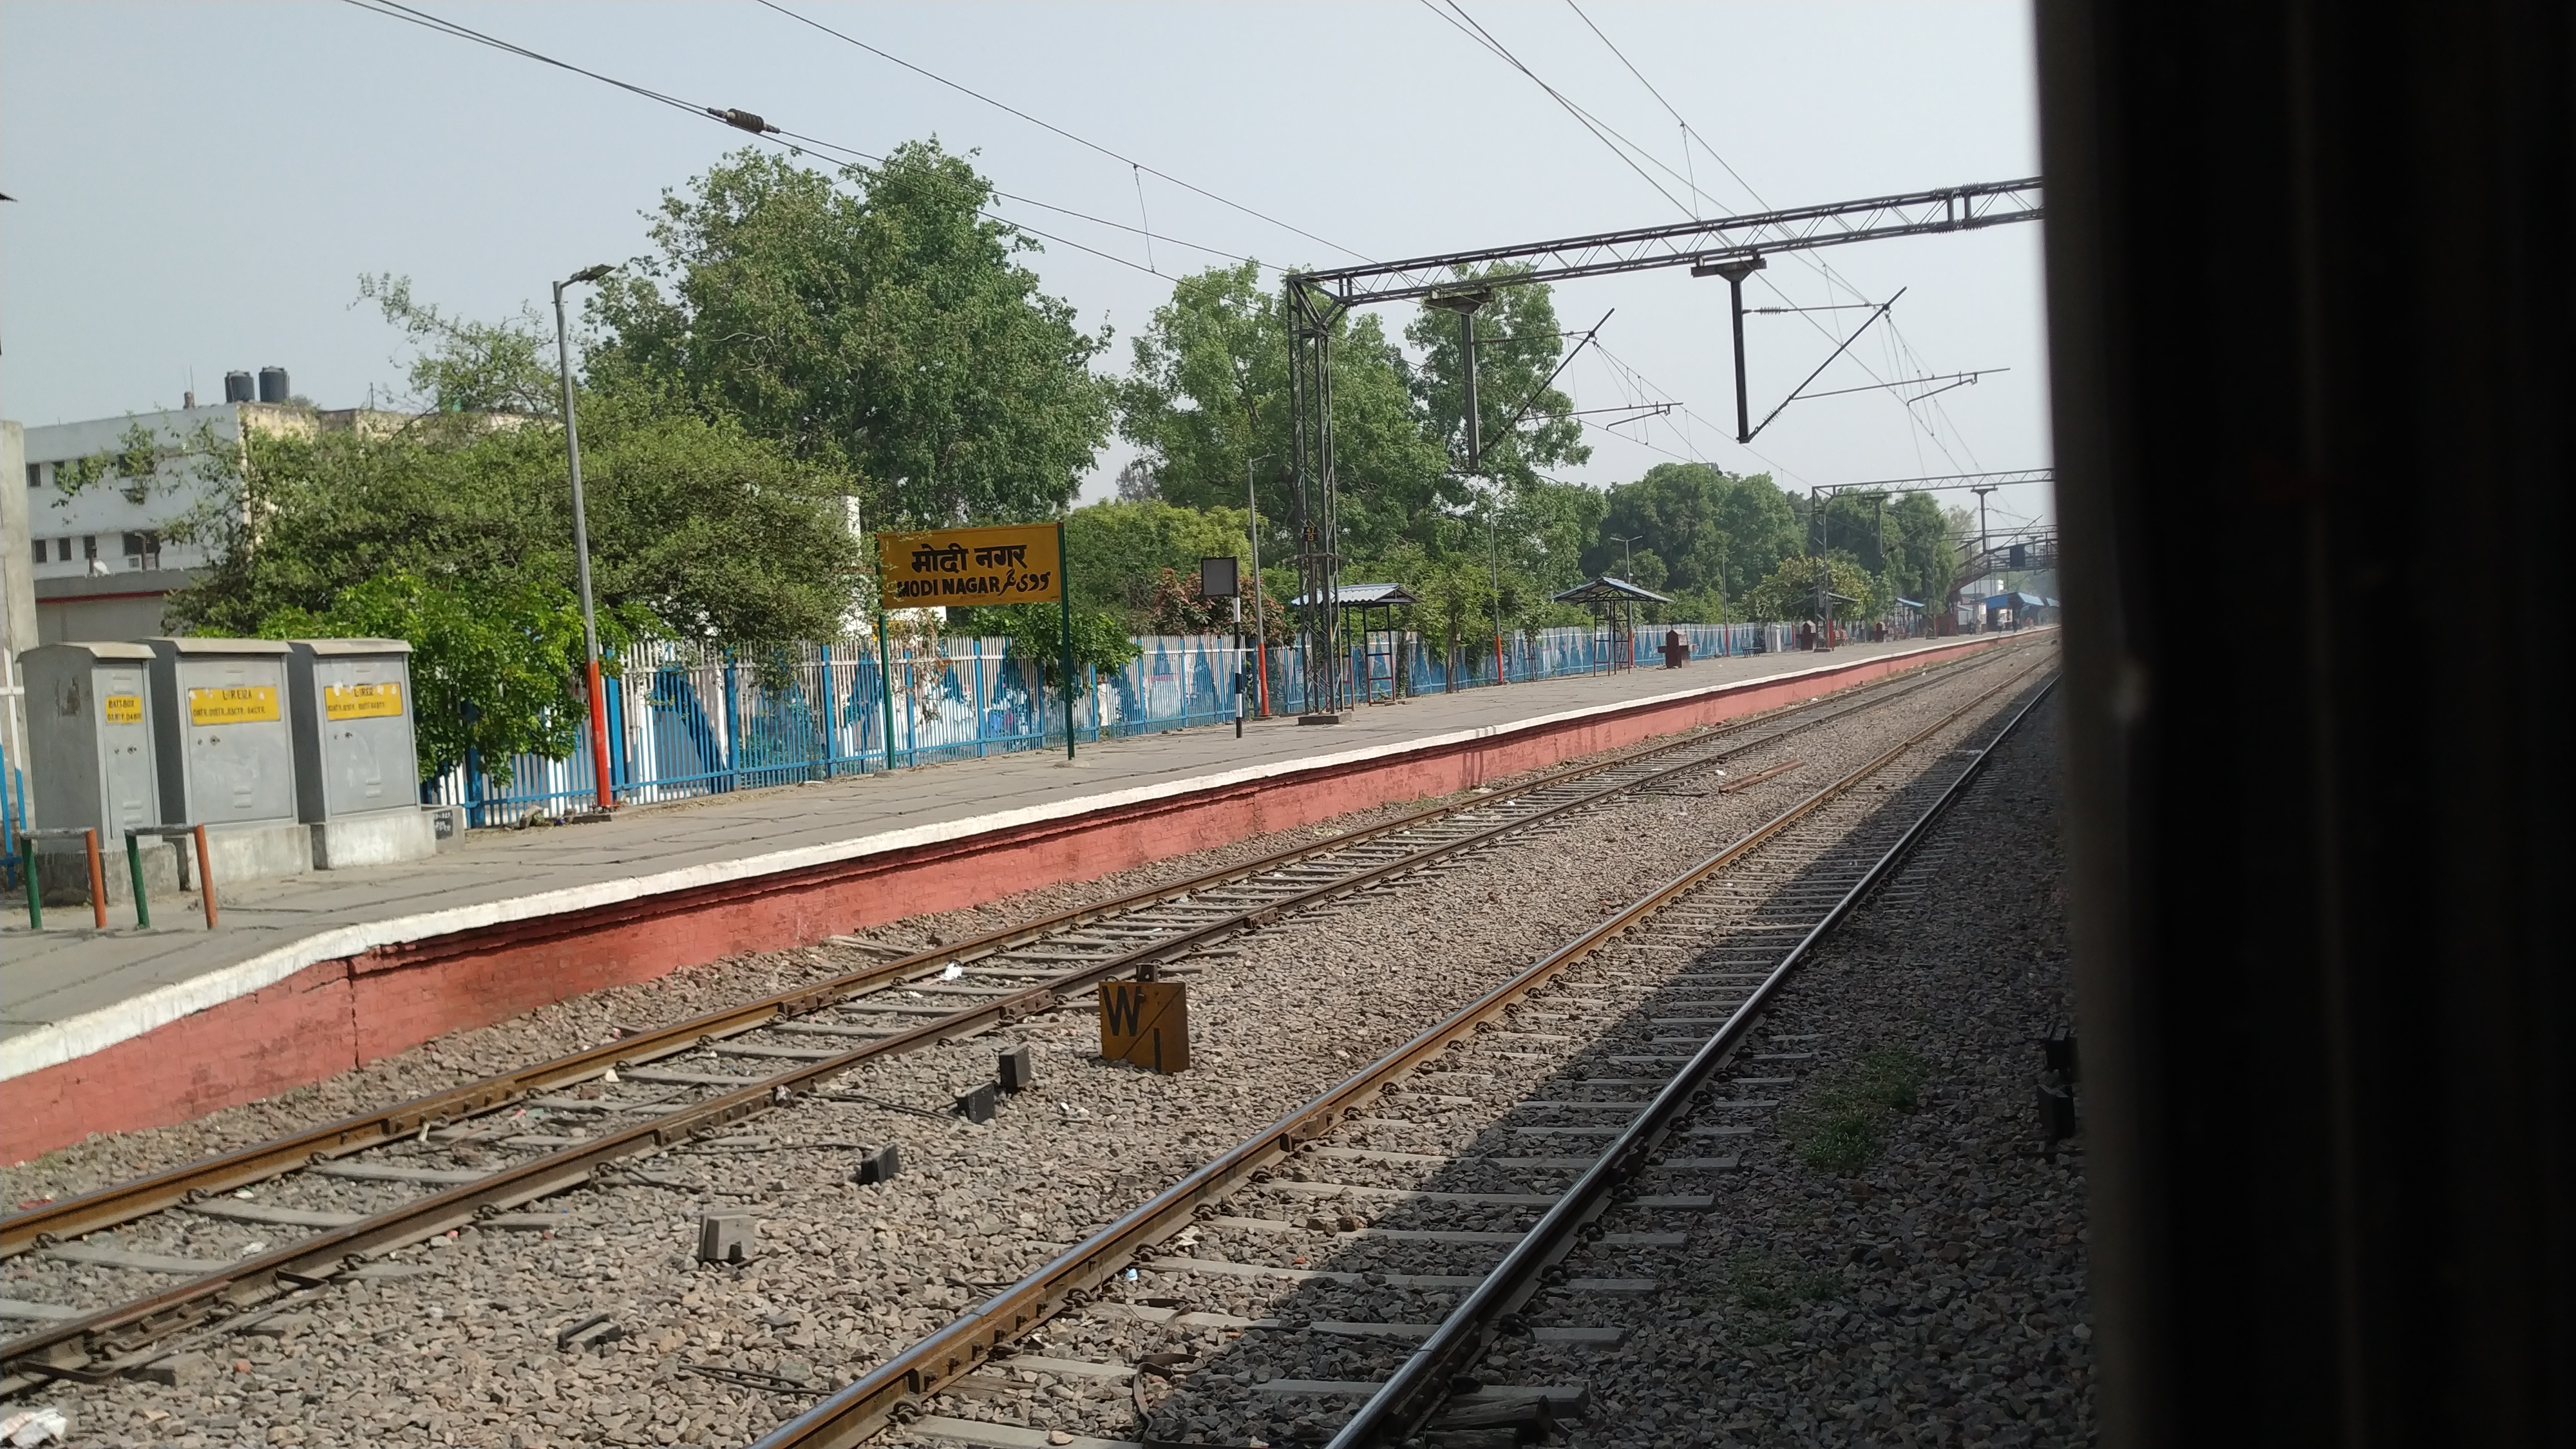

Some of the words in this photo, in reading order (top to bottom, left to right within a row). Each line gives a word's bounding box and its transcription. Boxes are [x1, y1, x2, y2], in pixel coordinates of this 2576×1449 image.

[907, 539, 971, 576] मोदी
[972, 544, 1030, 571] नगर
[895, 578, 941, 598] MODI
[940, 574, 1001, 597] NAGAR